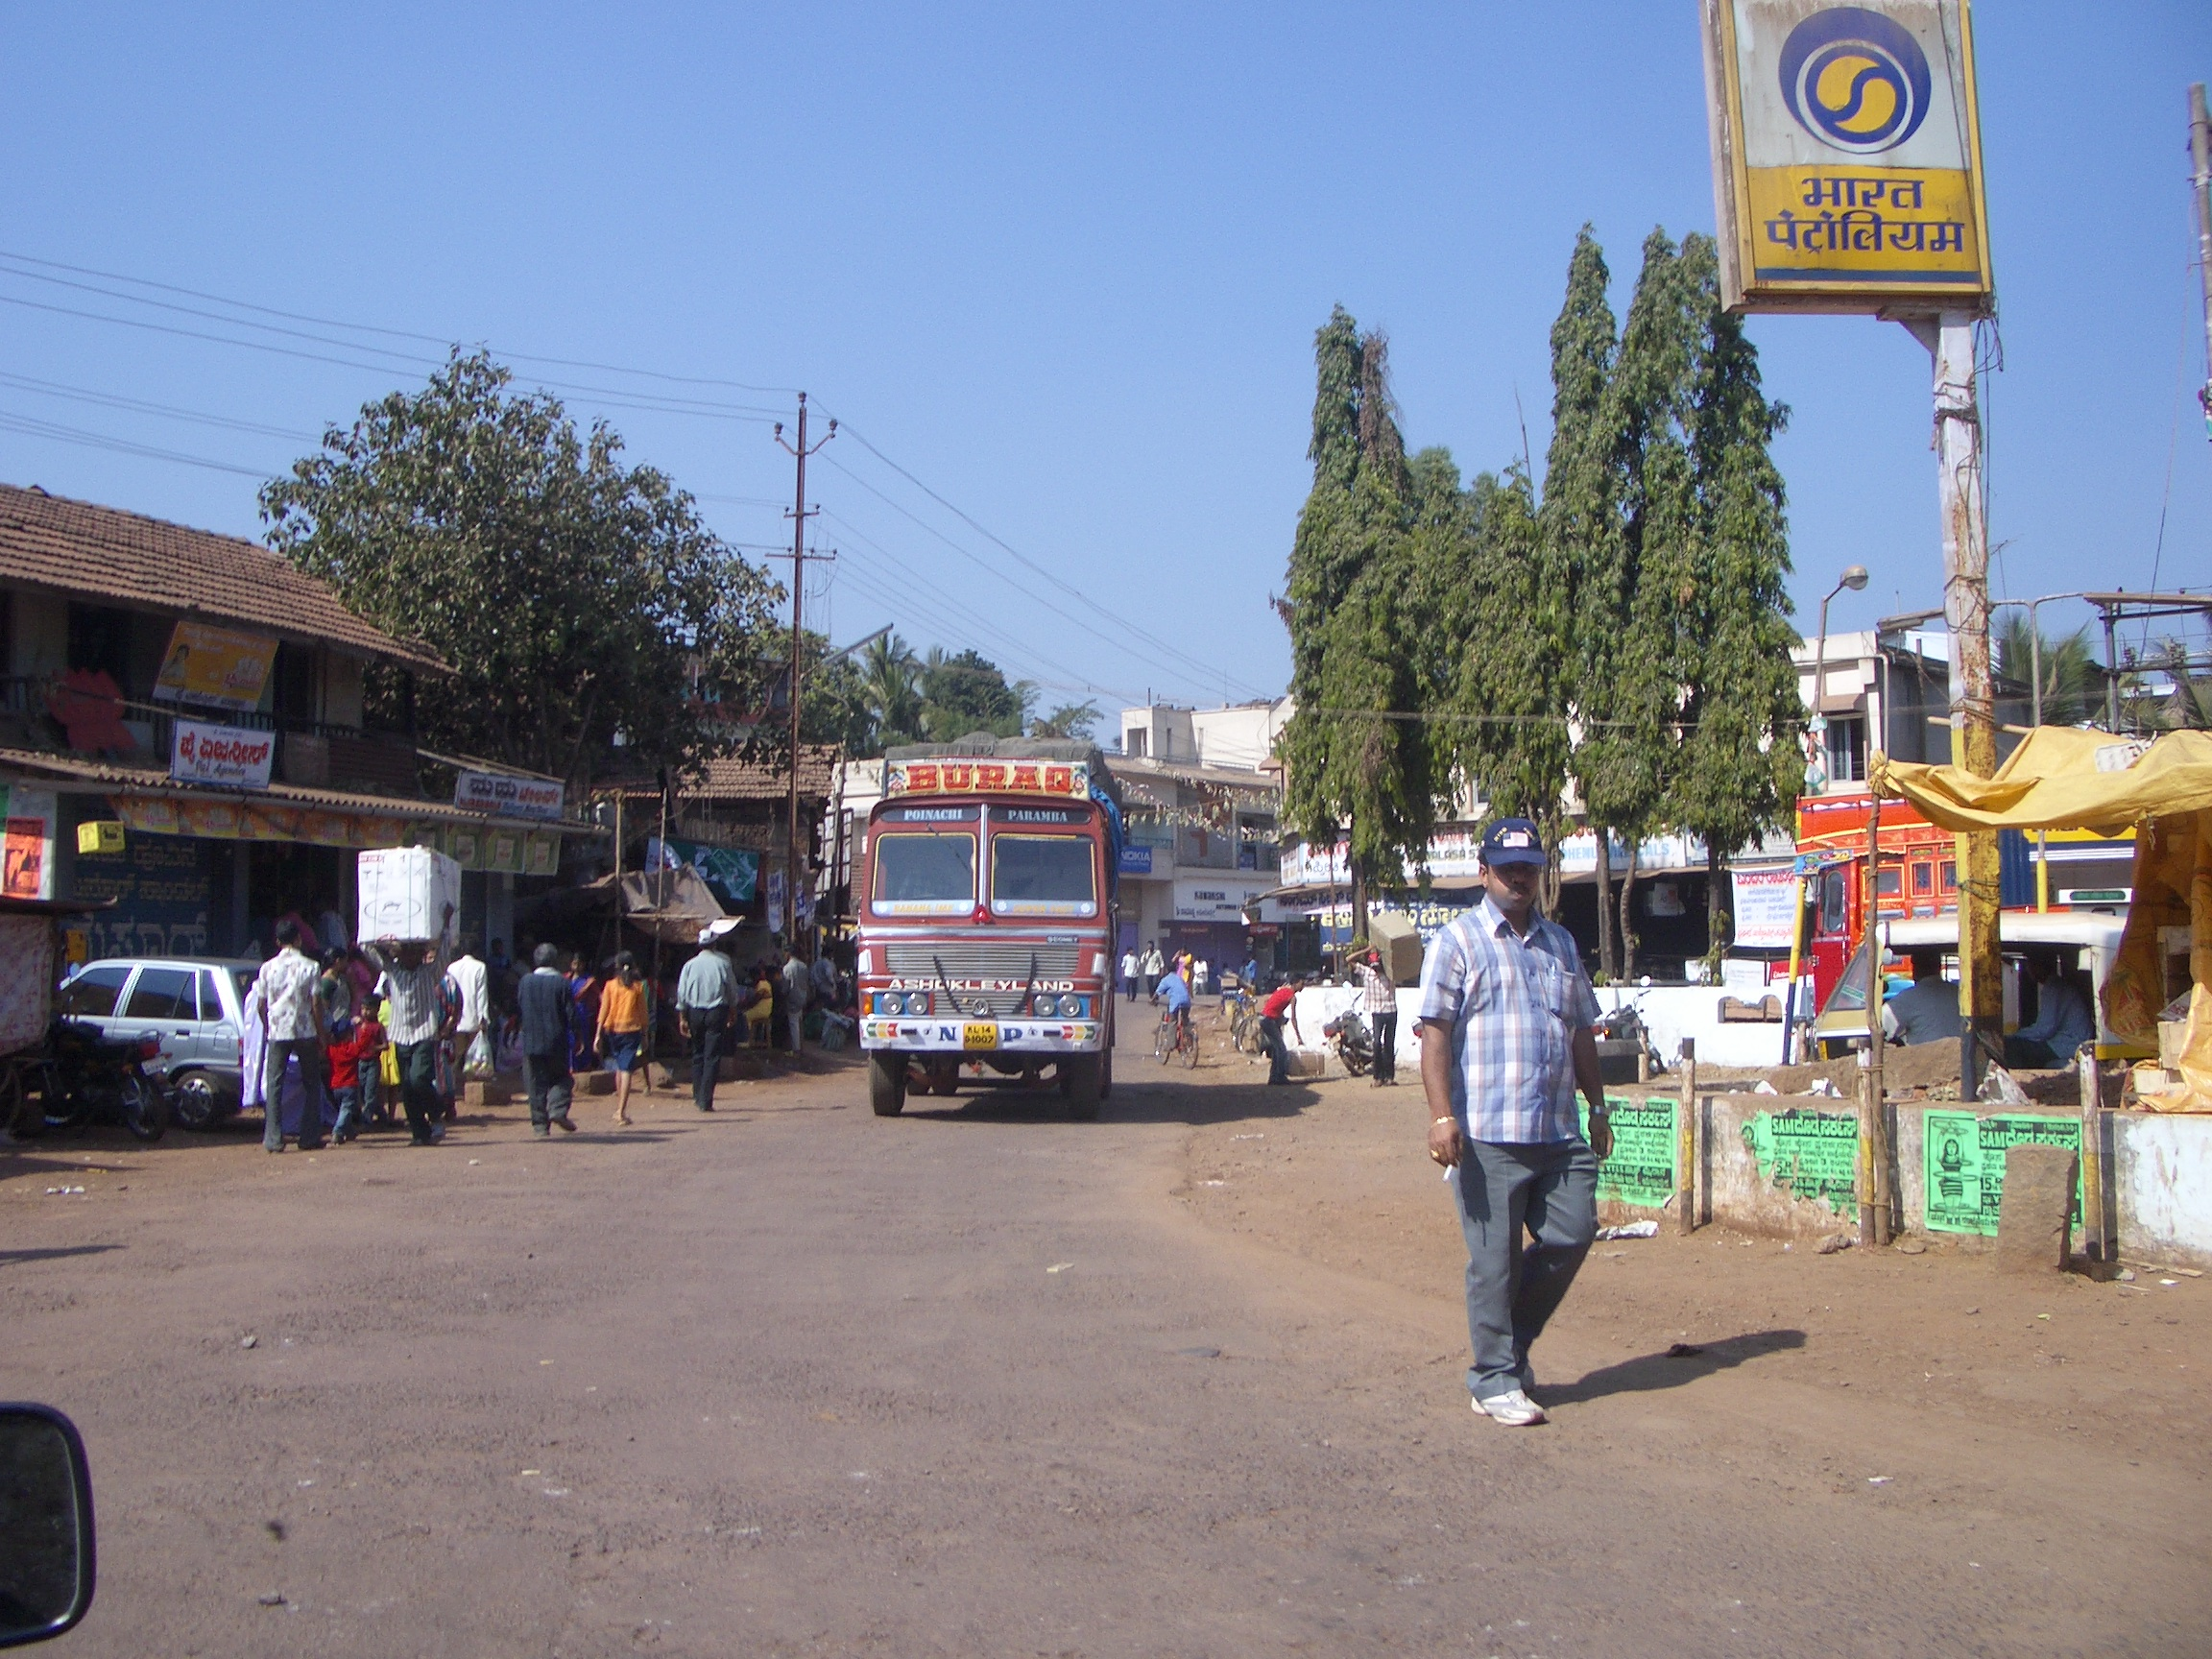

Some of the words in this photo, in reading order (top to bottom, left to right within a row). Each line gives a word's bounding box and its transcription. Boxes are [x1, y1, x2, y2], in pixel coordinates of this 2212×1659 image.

[1797, 172, 1928, 216] भारत
[1762, 202, 1969, 256] पेट्रोलियम
[174, 724, 276, 771] ಪೈಏಜನೀಸ್
[464, 769, 522, 804] ಮಥು
[903, 757, 1075, 798] BURAQ
[902, 805, 969, 826] POINACHI
[1007, 804, 1070, 826] PARAMBA
[128, 833, 202, 877] ಹೂವಿನ
[1116, 846, 1154, 864] NOKIA
[882, 974, 968, 995] ASHOK
[961, 973, 1075, 996] LEYLAND